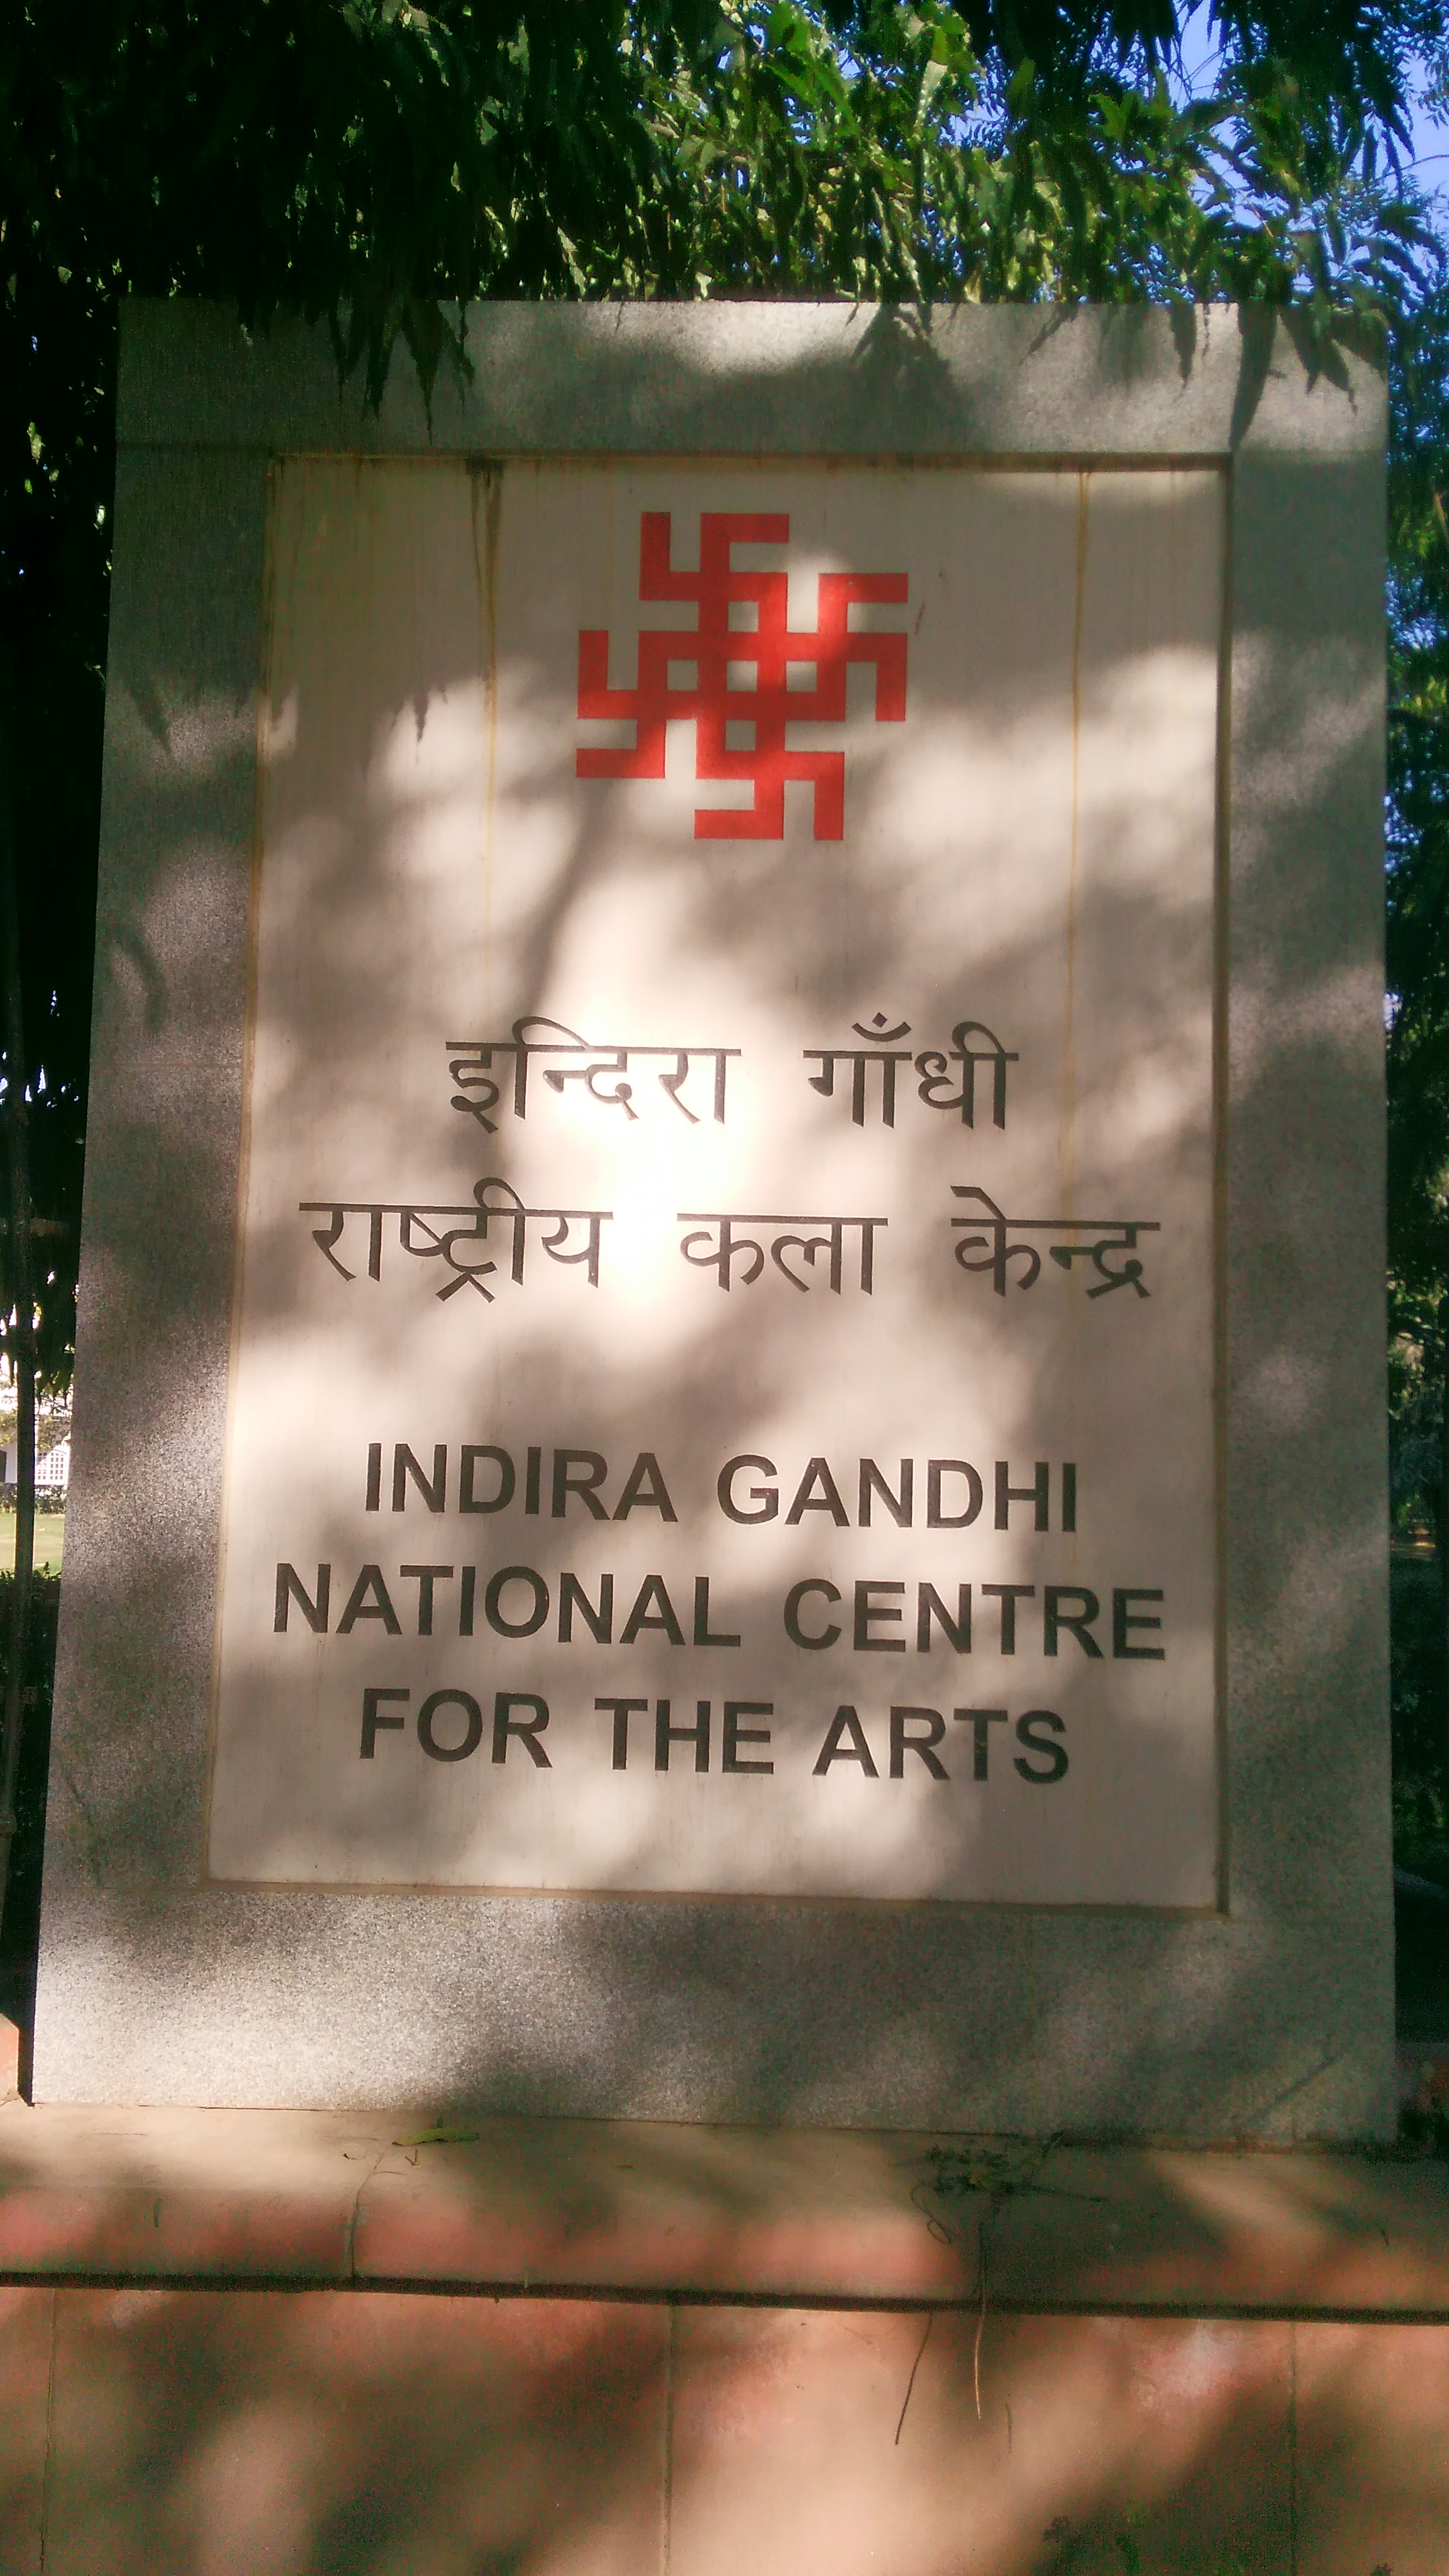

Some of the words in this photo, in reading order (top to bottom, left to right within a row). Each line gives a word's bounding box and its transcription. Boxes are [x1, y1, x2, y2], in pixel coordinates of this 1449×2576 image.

[439, 1004, 747, 1138] इन्दिरा
[799, 1004, 1025, 1135] गाँधी
[296, 1166, 621, 1313] राष्ट्रीय
[673, 1205, 894, 1301] कला
[942, 1176, 1167, 1307] केन्द्र
[357, 1434, 683, 1521] INDIRA
[708, 1448, 1084, 1535] GANDHI
[267, 1555, 748, 1650] NATIONAL
[782, 1568, 1175, 1659] CENTRE
[347, 1679, 558, 1777] FOR
[591, 1688, 779, 1782] THE
[809, 1697, 1077, 1794] ARTS